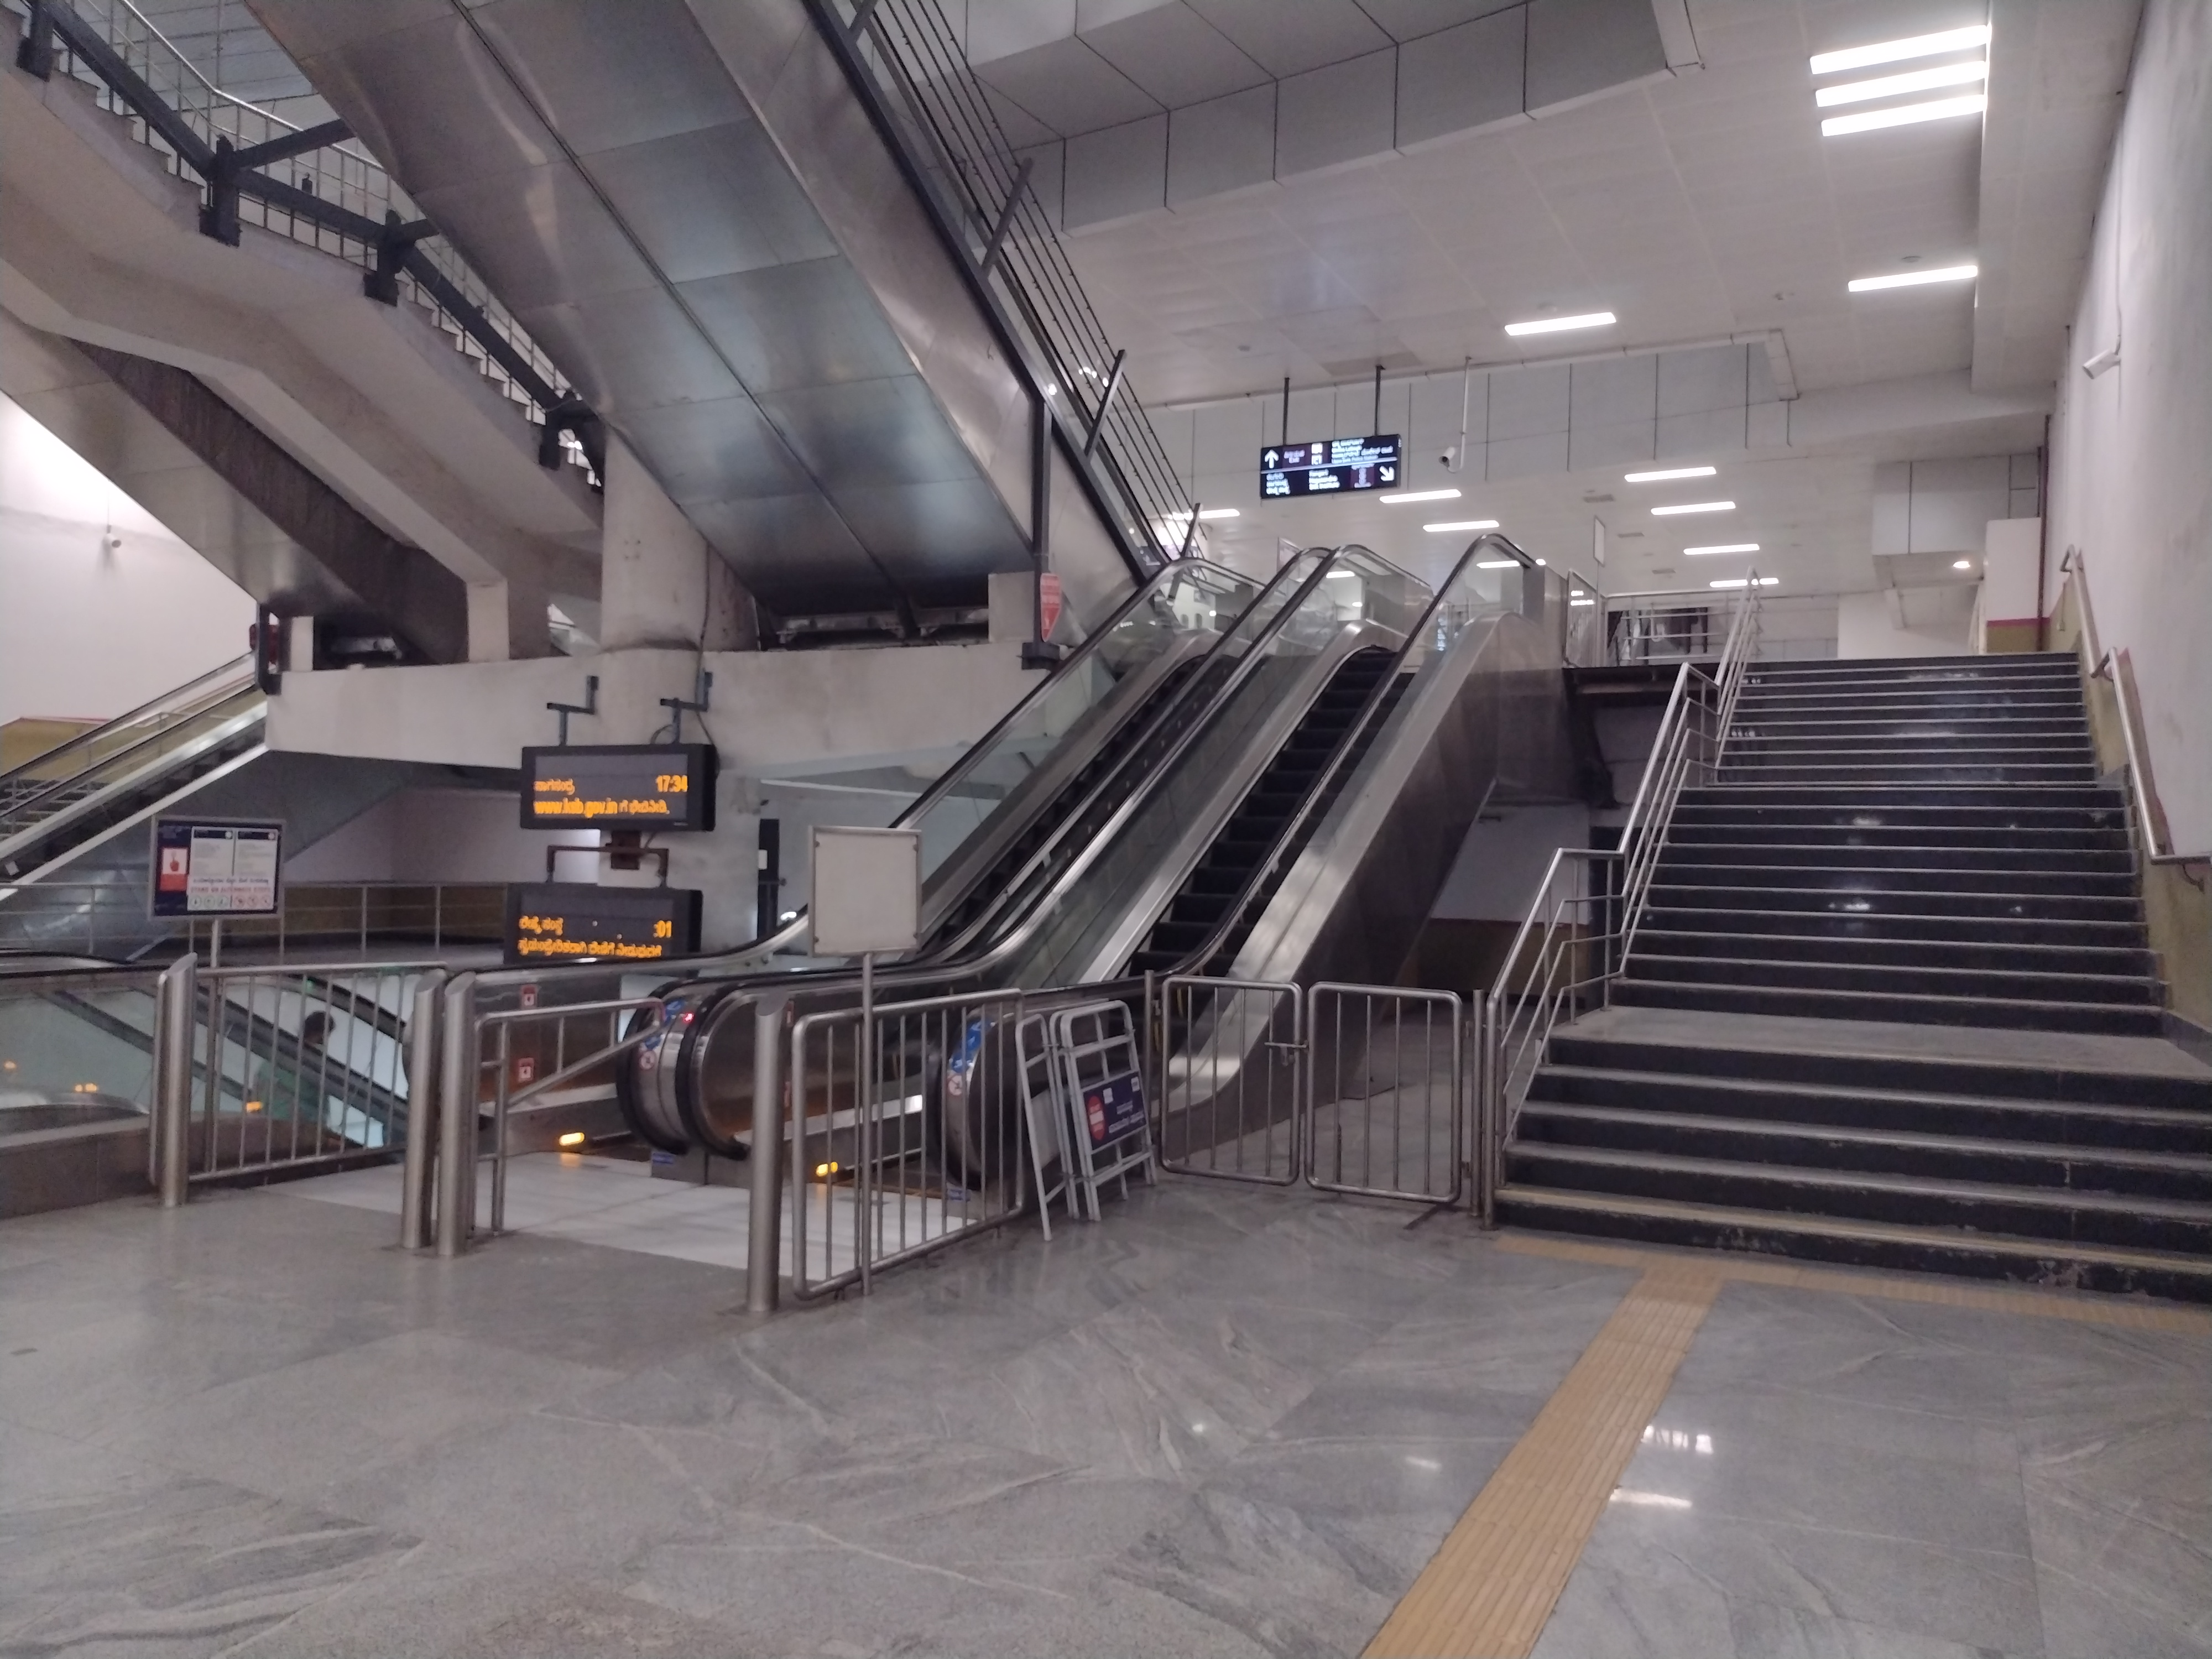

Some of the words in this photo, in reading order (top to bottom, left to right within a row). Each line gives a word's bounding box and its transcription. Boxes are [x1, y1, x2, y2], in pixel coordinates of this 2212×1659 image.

[528, 773, 577, 798] ನಾಗಸಂದ್ರ
[509, 911, 565, 941] ದೇಜೈನಂನ್ಹ